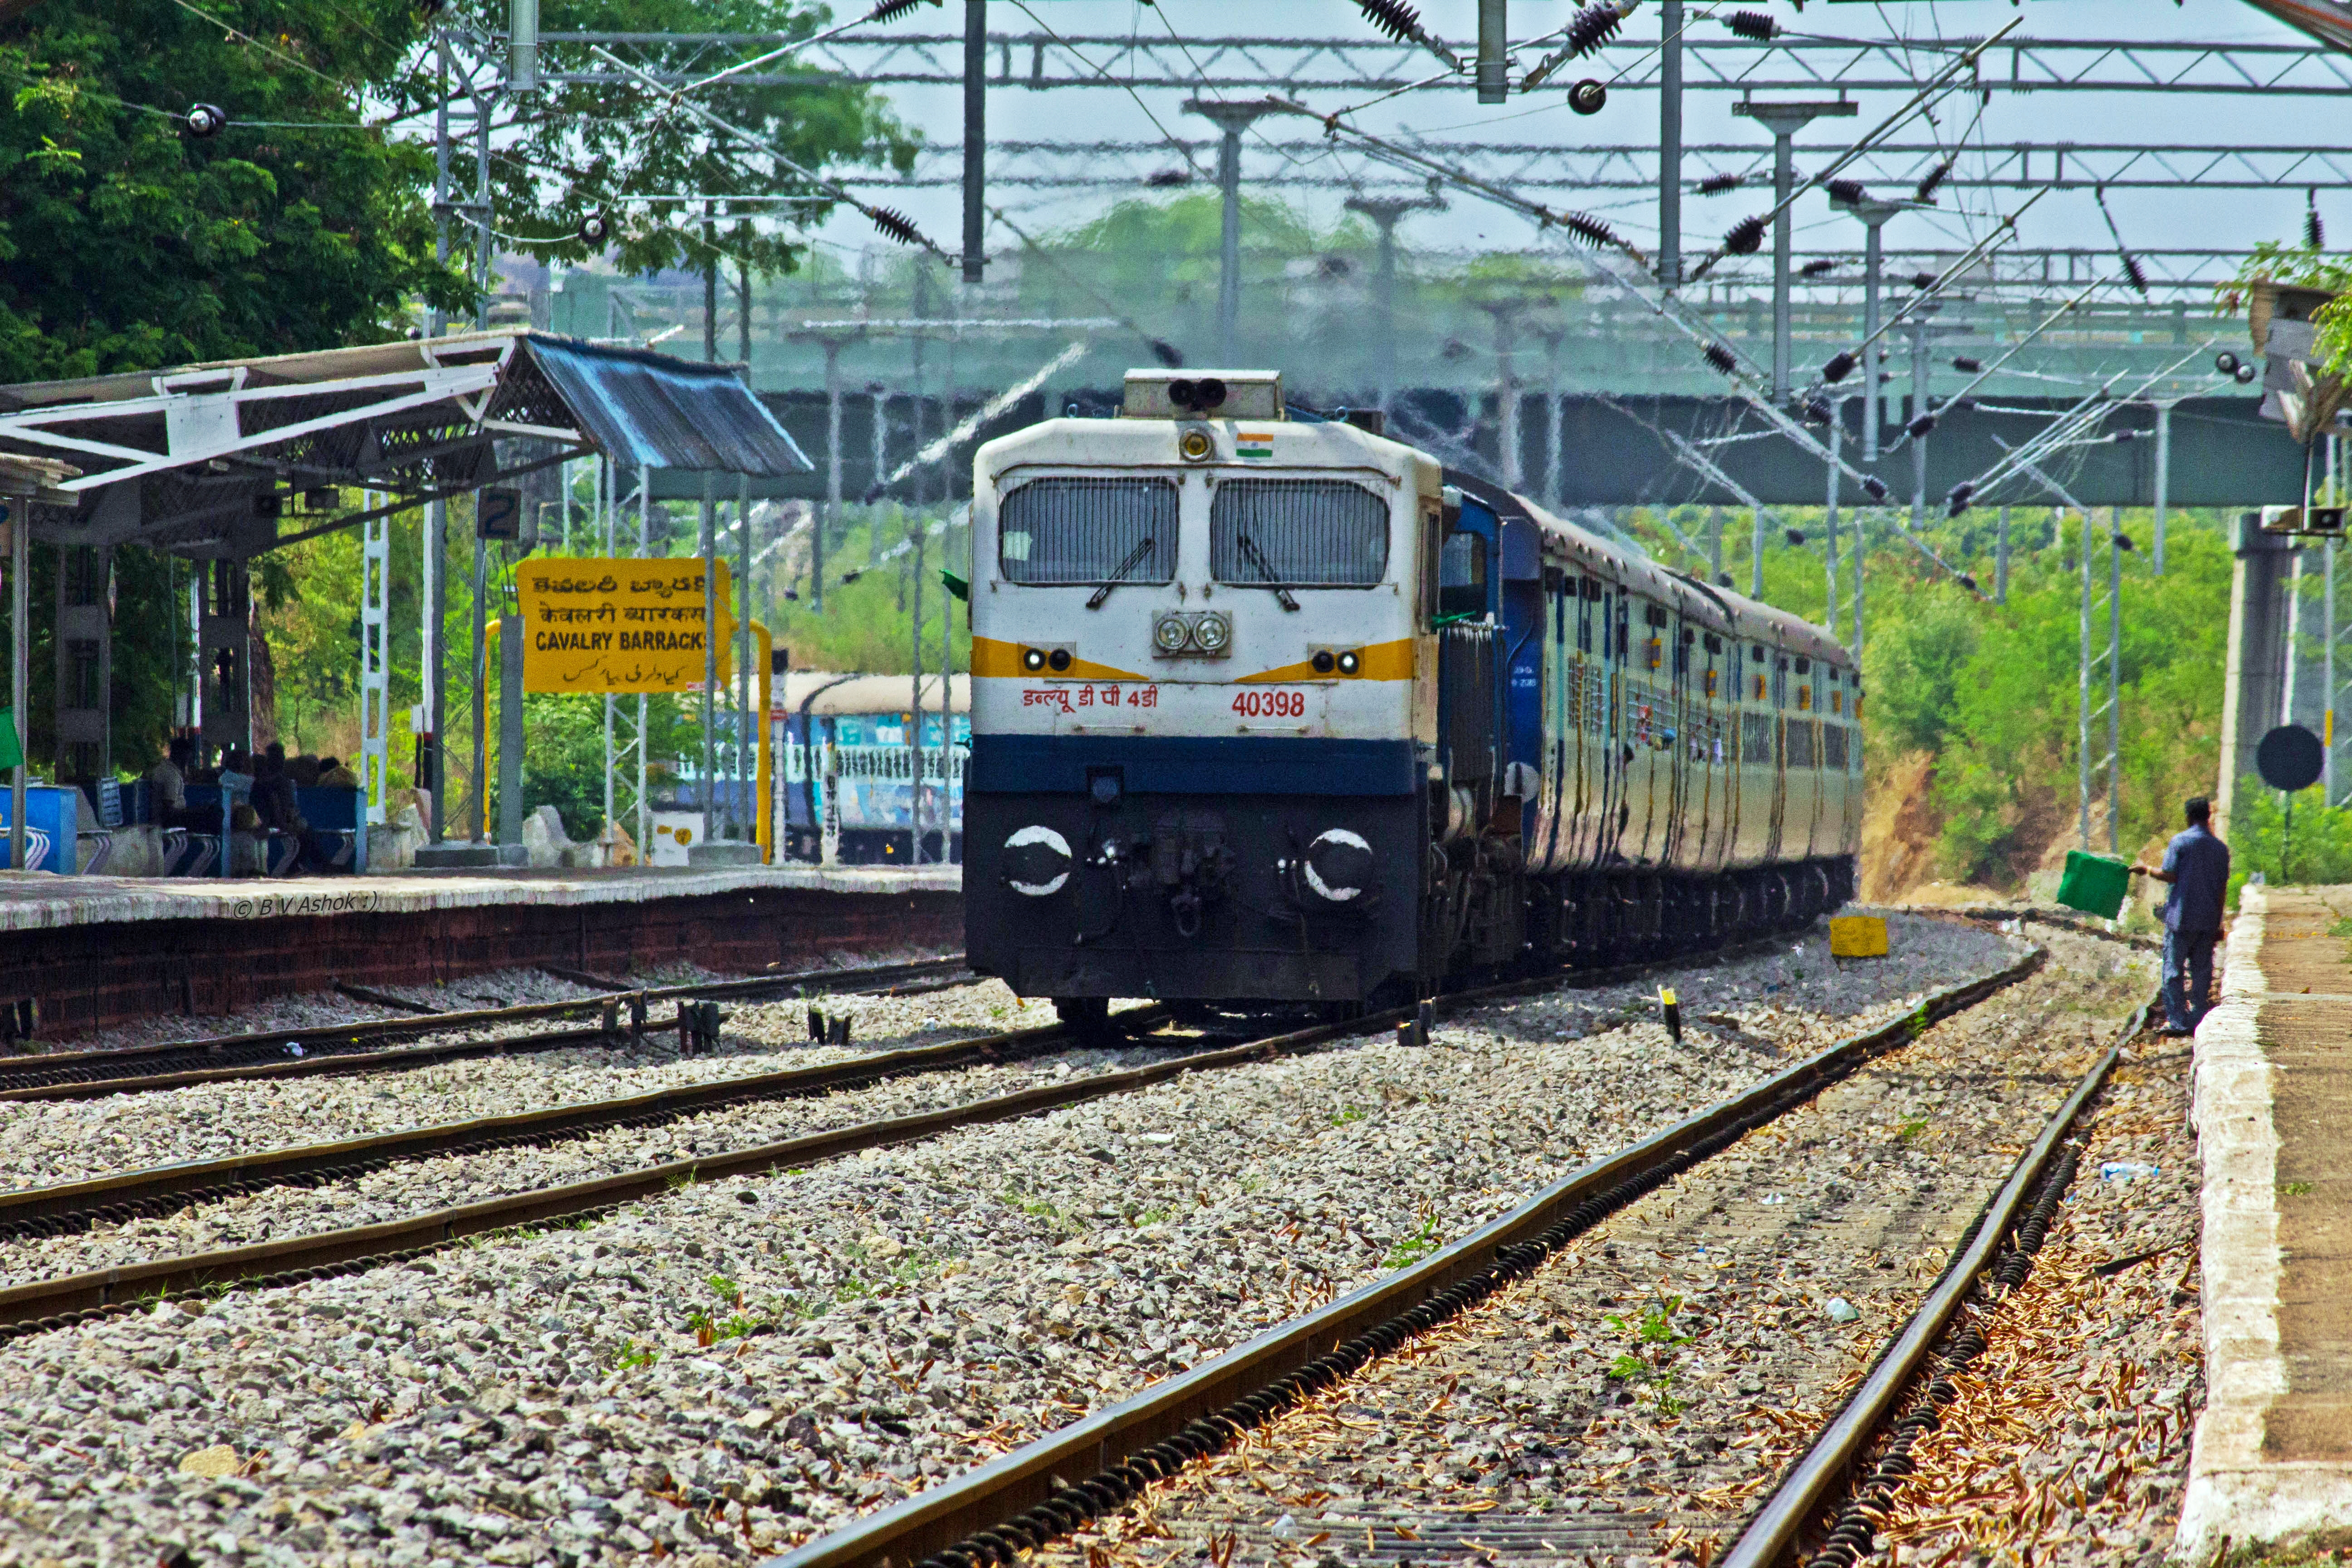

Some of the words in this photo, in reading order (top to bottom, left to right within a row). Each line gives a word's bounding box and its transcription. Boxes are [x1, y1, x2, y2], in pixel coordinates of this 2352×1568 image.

[529, 573, 619, 594] కావలరీ
[624, 573, 708, 600] బ్యార
[533, 594, 620, 625] केवलरी
[621, 604, 709, 624] ब्यारकस
[534, 630, 616, 652] CAVALRY
[617, 628, 705, 654] BARRACK
[1019, 685, 1082, 719] डब्ल्यू
[1071, 677, 1099, 709] डी
[1096, 677, 1124, 711] पी
[1126, 678, 1159, 712] 4 डी
[1229, 682, 1308, 725] 40398